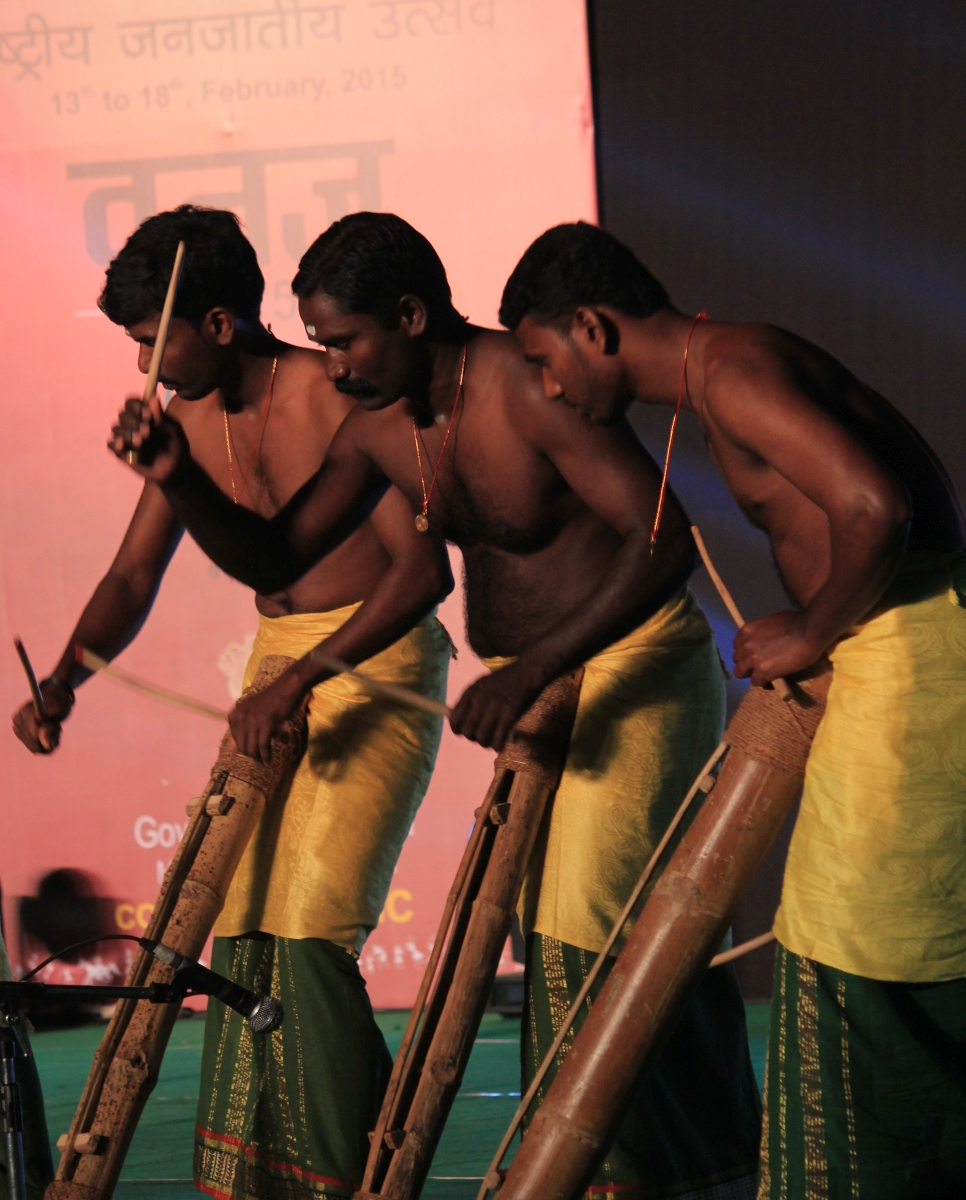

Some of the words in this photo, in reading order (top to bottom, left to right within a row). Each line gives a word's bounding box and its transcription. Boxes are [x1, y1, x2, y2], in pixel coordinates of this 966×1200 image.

[116, 0, 344, 67] जनजातीय
[367, 0, 499, 45] उत्सव
[43, 75, 189, 124] 13to18
[198, 76, 330, 111] February.
[340, 59, 409, 97] 2015
[66, 135, 399, 275] वनज